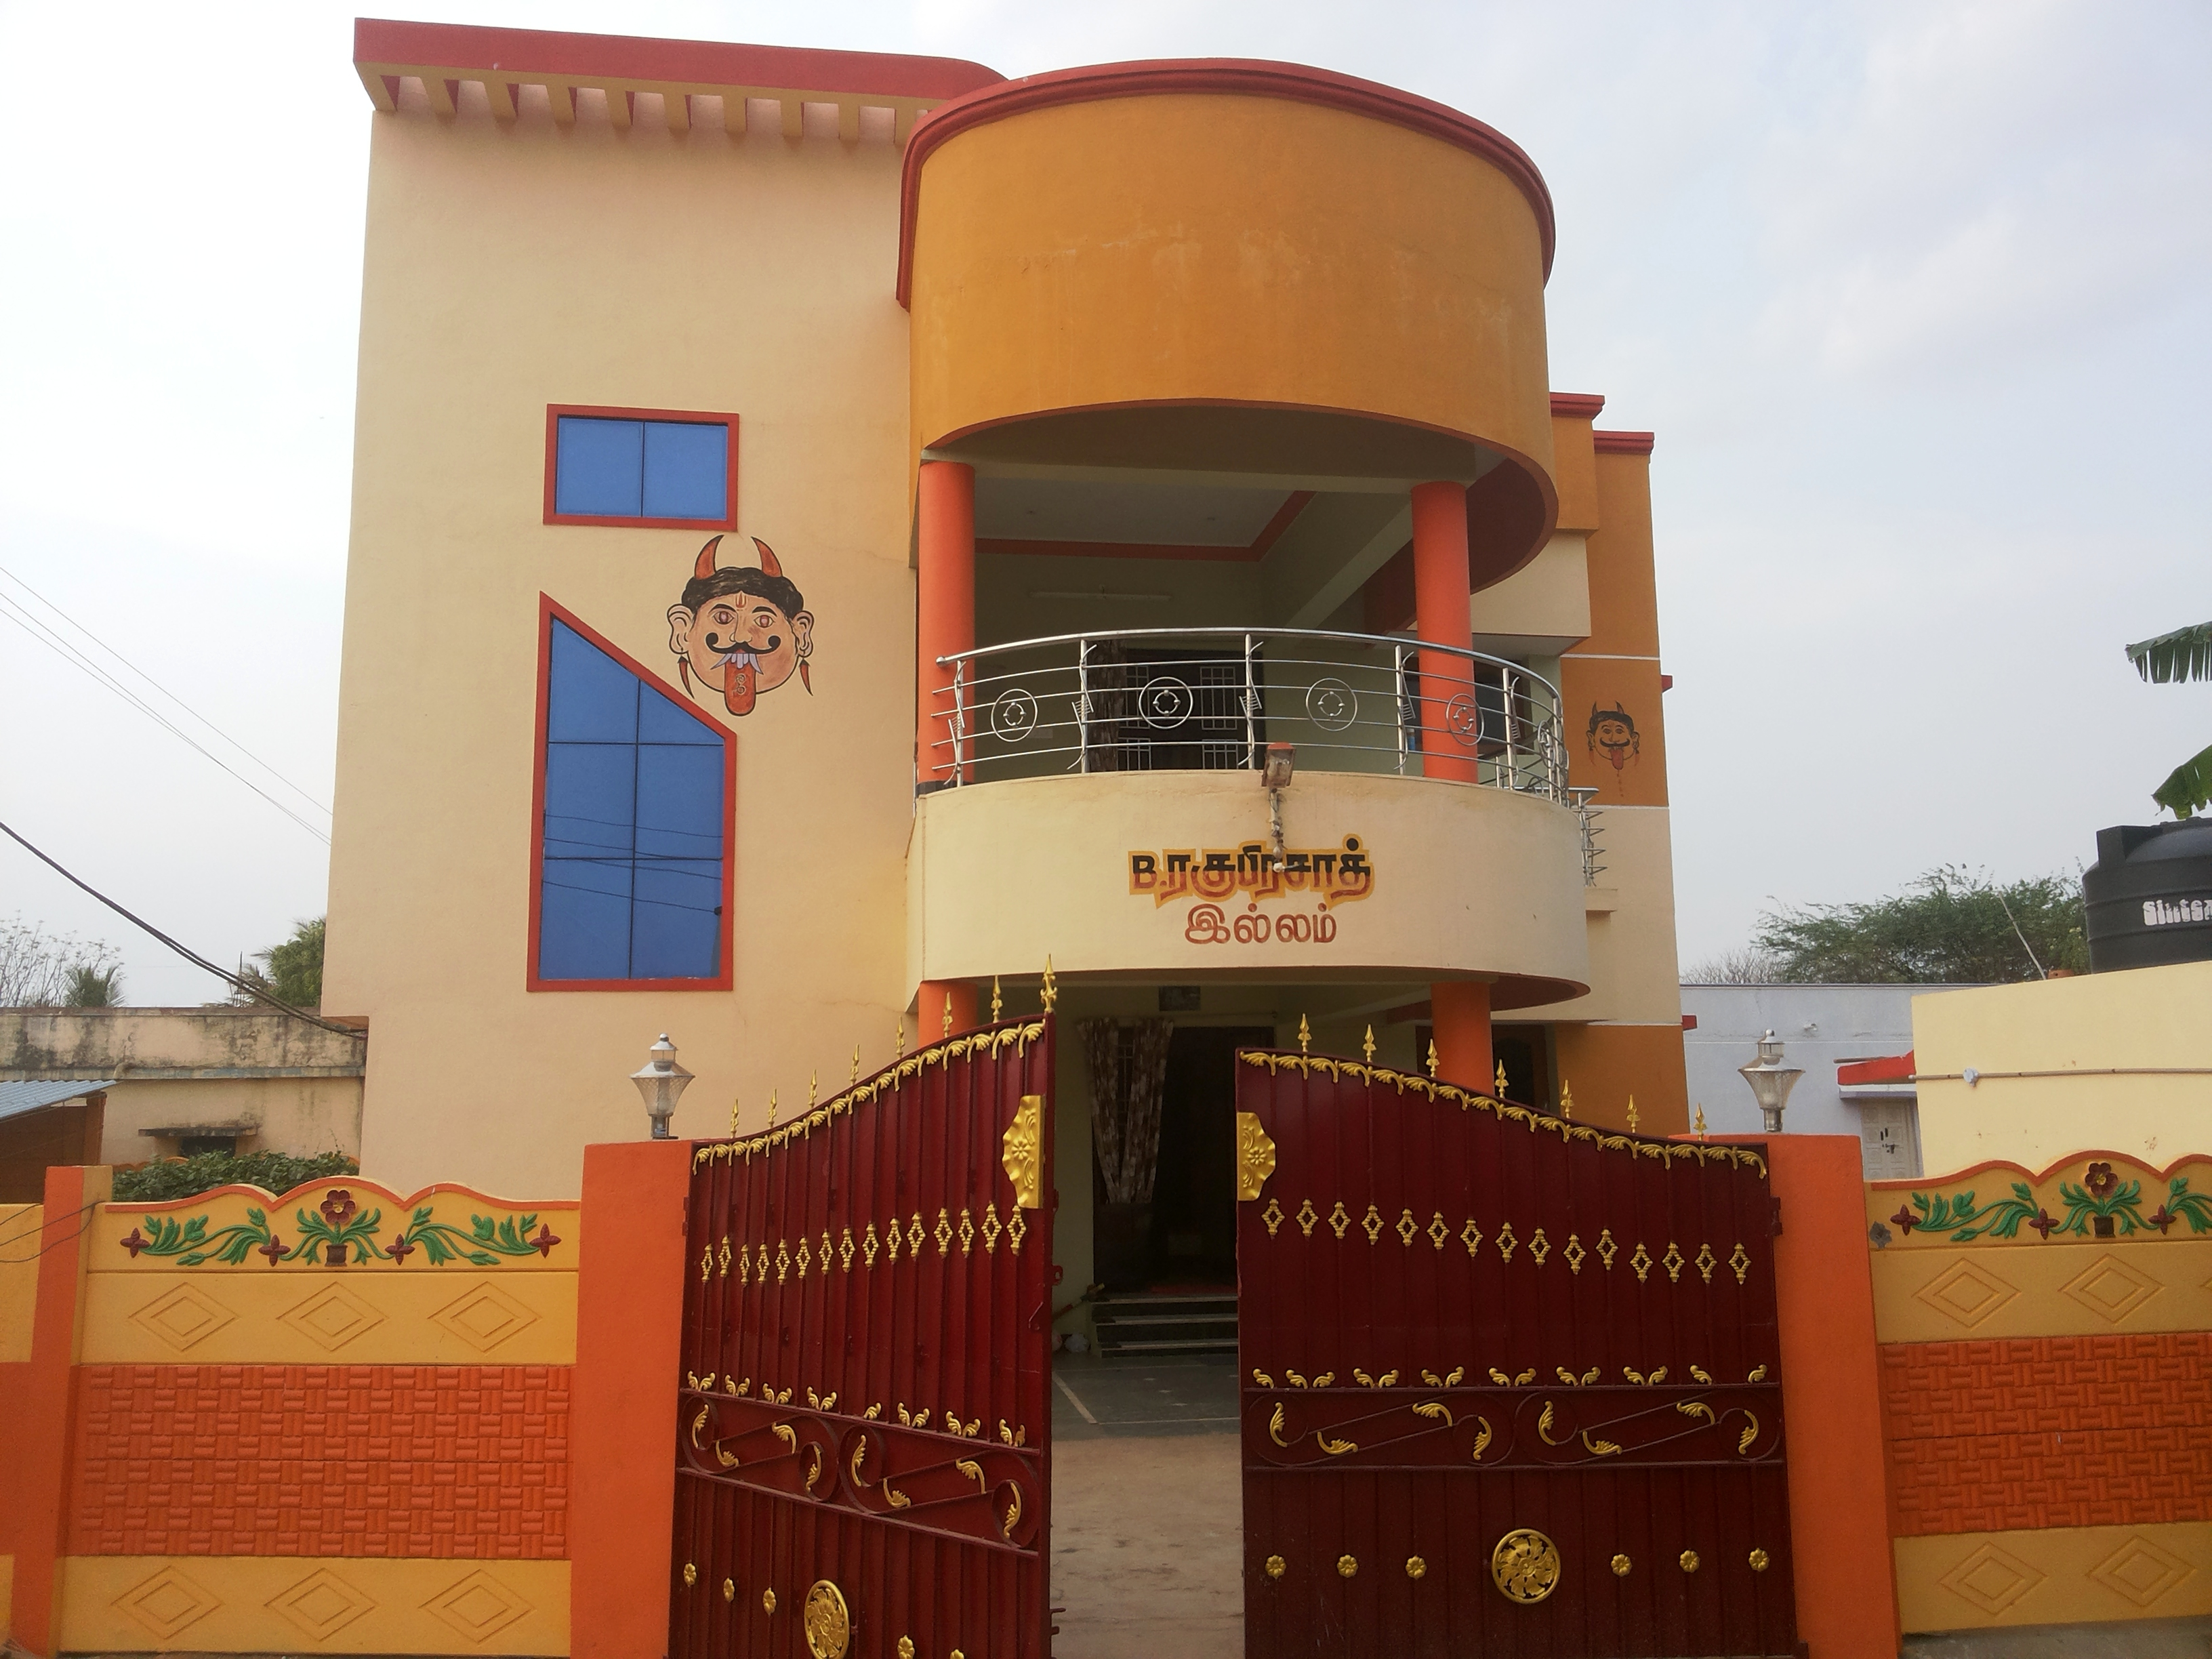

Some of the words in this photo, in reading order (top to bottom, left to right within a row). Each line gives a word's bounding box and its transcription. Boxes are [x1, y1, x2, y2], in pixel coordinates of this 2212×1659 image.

[1178, 895, 1343, 949] இல்லம்